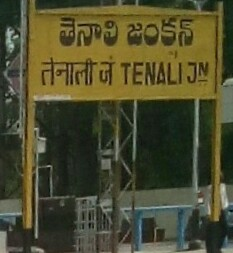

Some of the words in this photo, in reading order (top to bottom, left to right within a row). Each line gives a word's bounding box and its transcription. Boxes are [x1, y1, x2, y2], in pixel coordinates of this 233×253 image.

[53, 11, 121, 51] తెనాలి
[122, 9, 197, 52] జంకగ్
[35, 47, 117, 94] तेनालीजं
[117, 56, 210, 89] TENALIJN